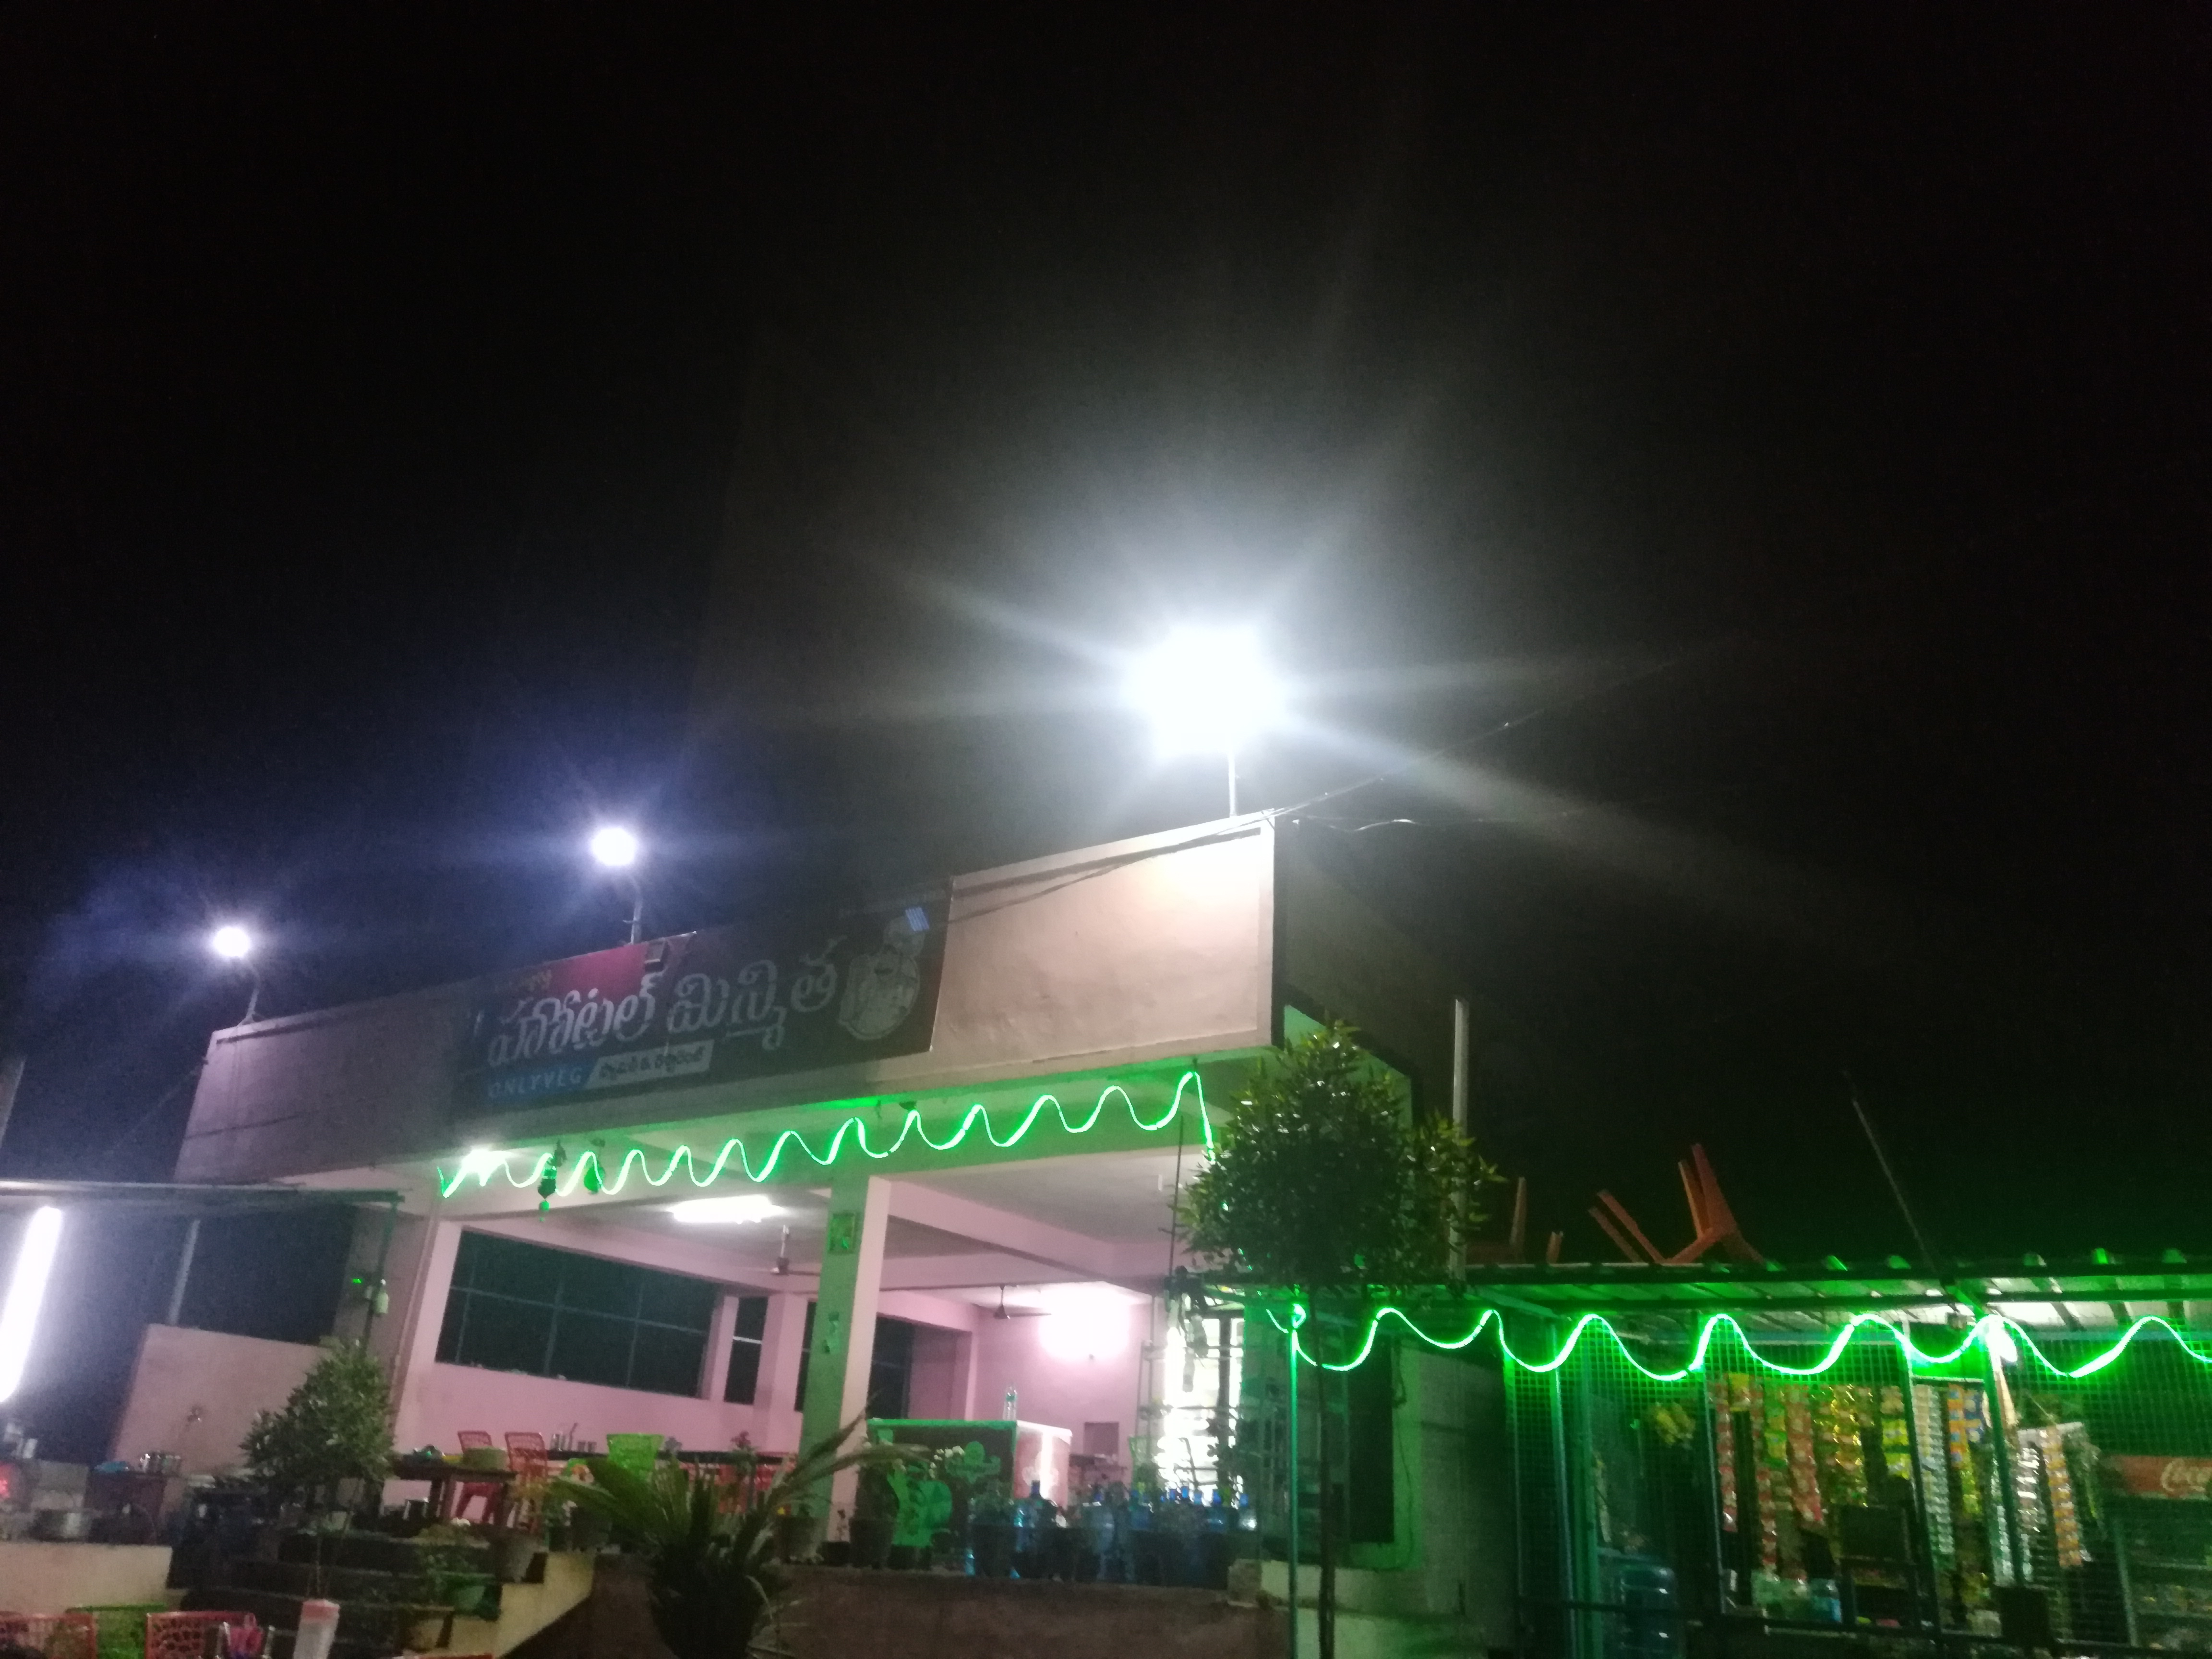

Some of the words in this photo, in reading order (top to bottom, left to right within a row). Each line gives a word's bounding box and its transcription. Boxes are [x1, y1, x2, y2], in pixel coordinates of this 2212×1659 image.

[484, 1061, 587, 1106] ONLYVEG